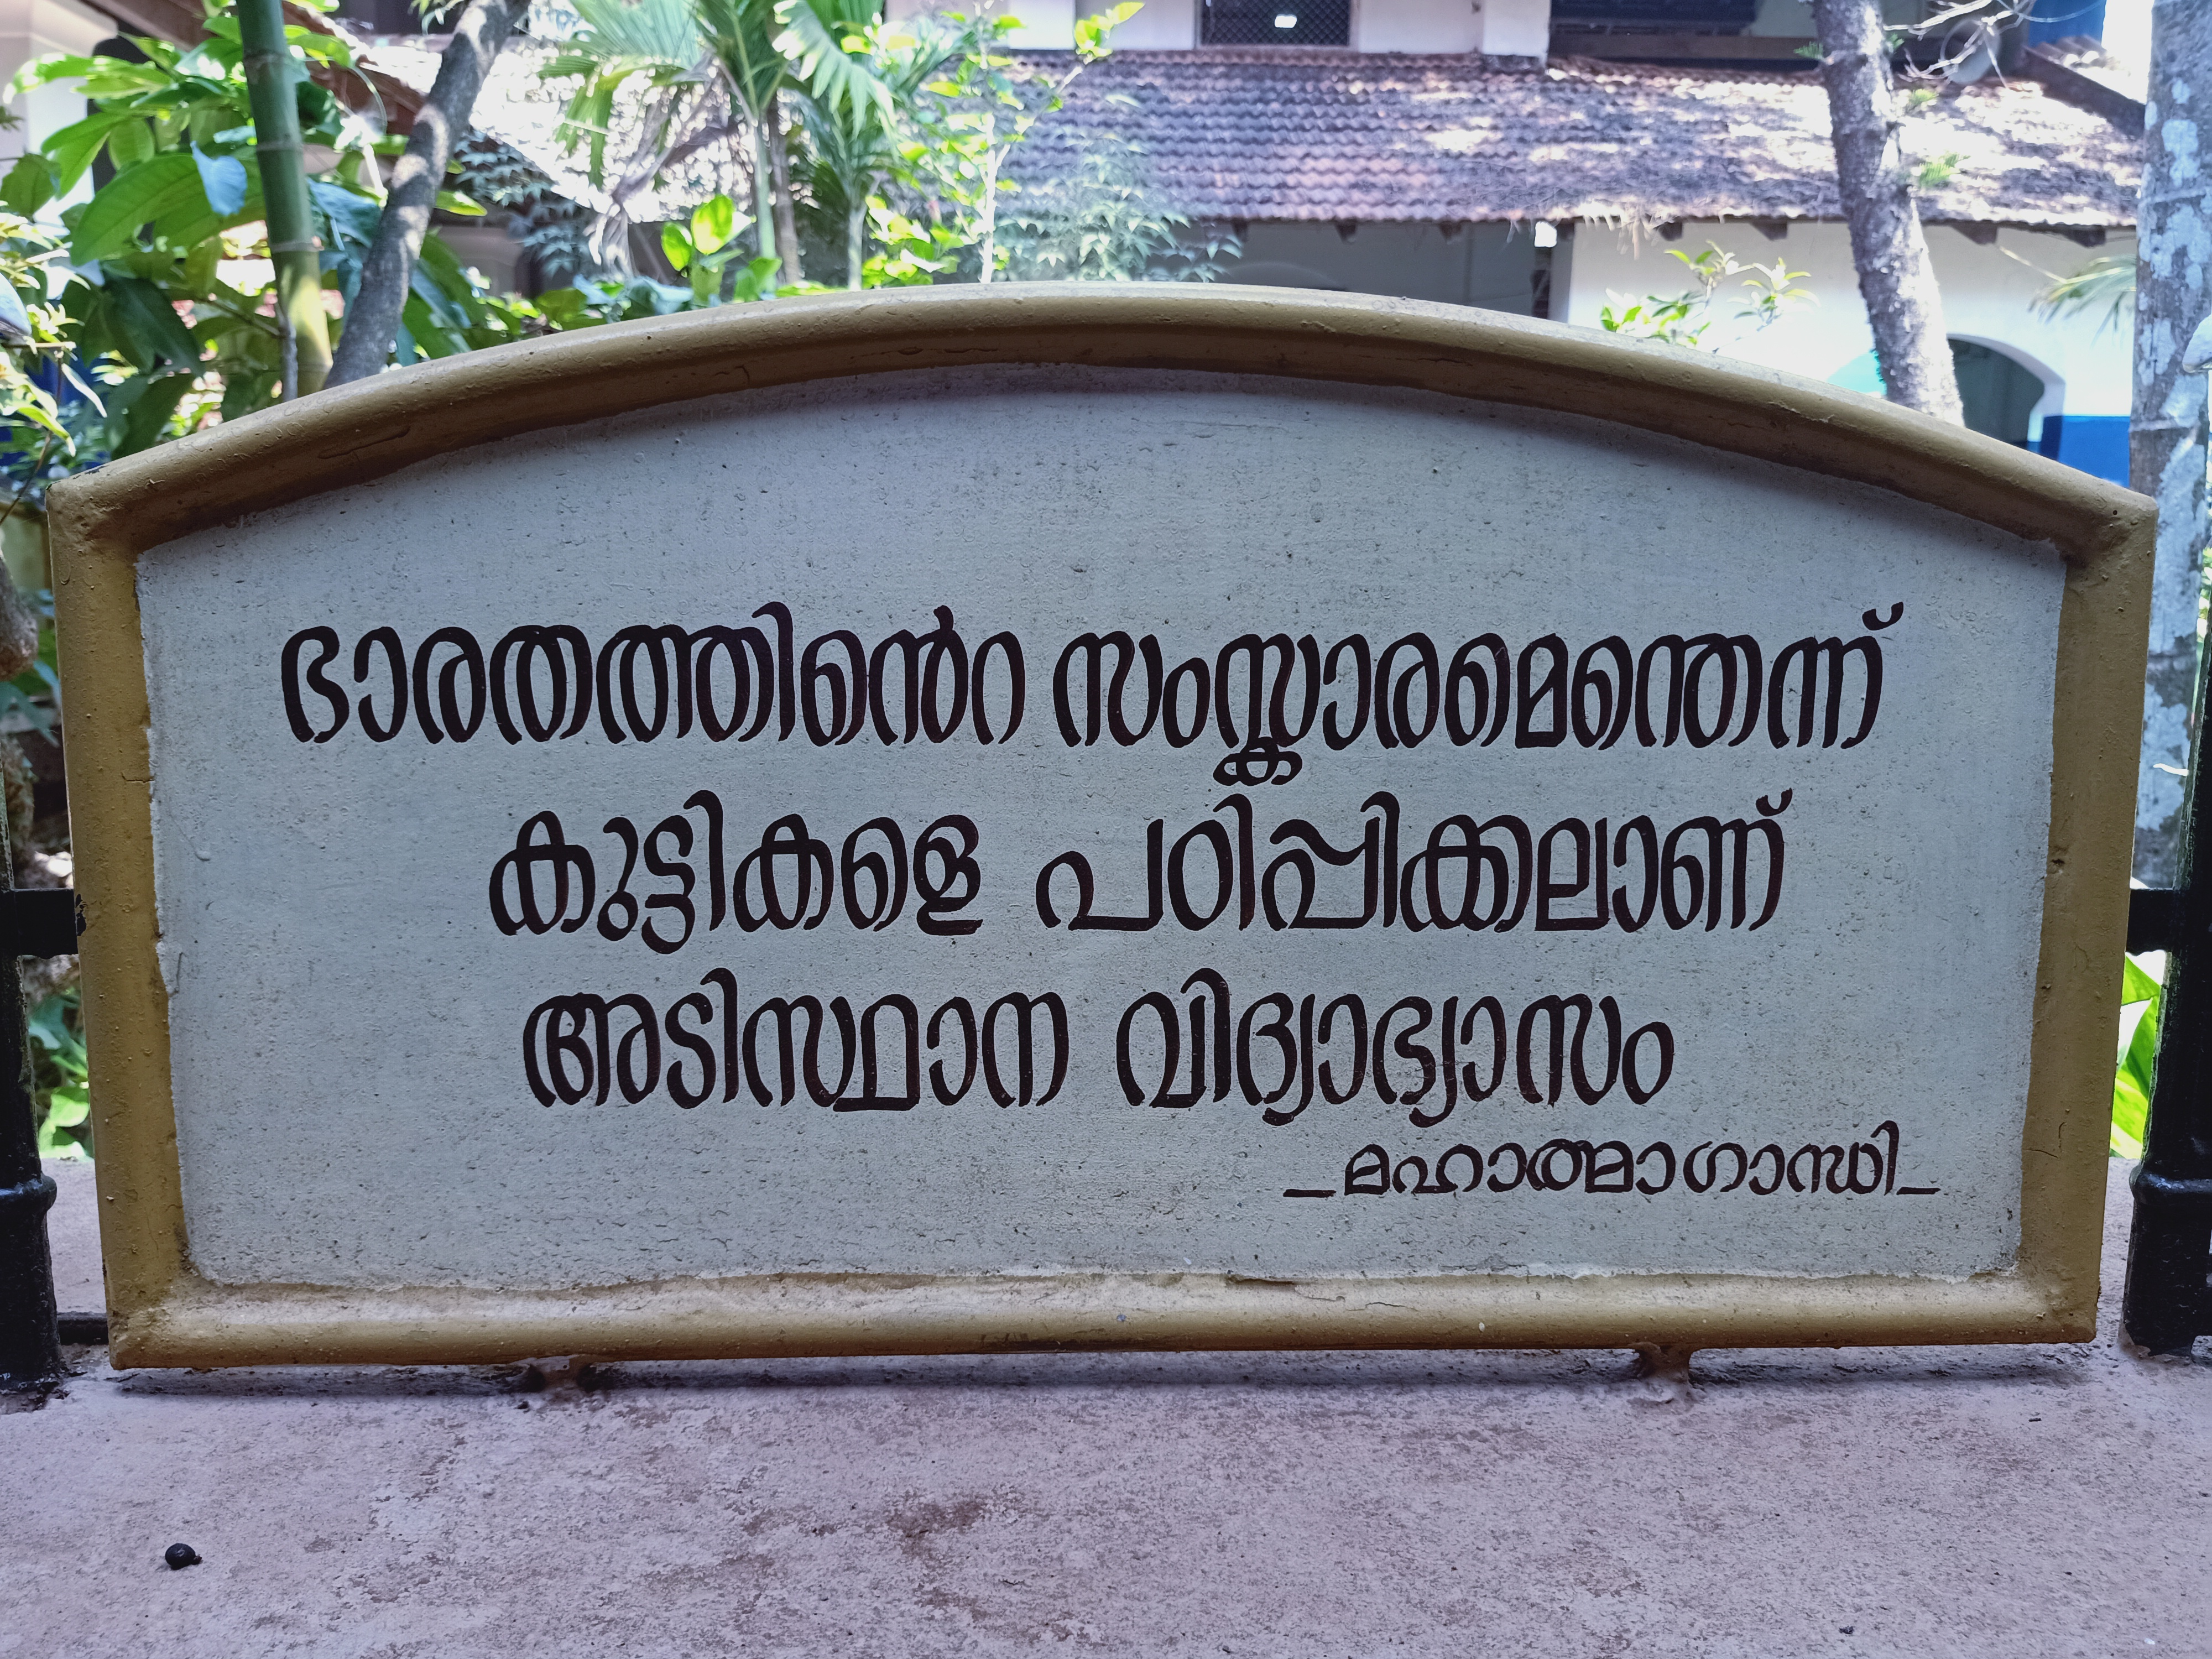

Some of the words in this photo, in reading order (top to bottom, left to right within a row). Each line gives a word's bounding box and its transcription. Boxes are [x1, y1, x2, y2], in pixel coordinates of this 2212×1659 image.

[278, 592, 1032, 745] ഭാരതത്തിൻെറ
[1050, 597, 1912, 790] സംസ്കാരമെന്തെന്ന്
[479, 782, 988, 956] കുട്ടികളെ
[1027, 784, 1798, 937] പഠിപ്പിക്കലാണ്
[517, 963, 1076, 1115] അടിസ്ഥാന
[1108, 961, 1677, 1131] വിദ്യാഭ്യാസം
[1337, 1112, 1907, 1198] മഹാത്മാഗാന്ധി